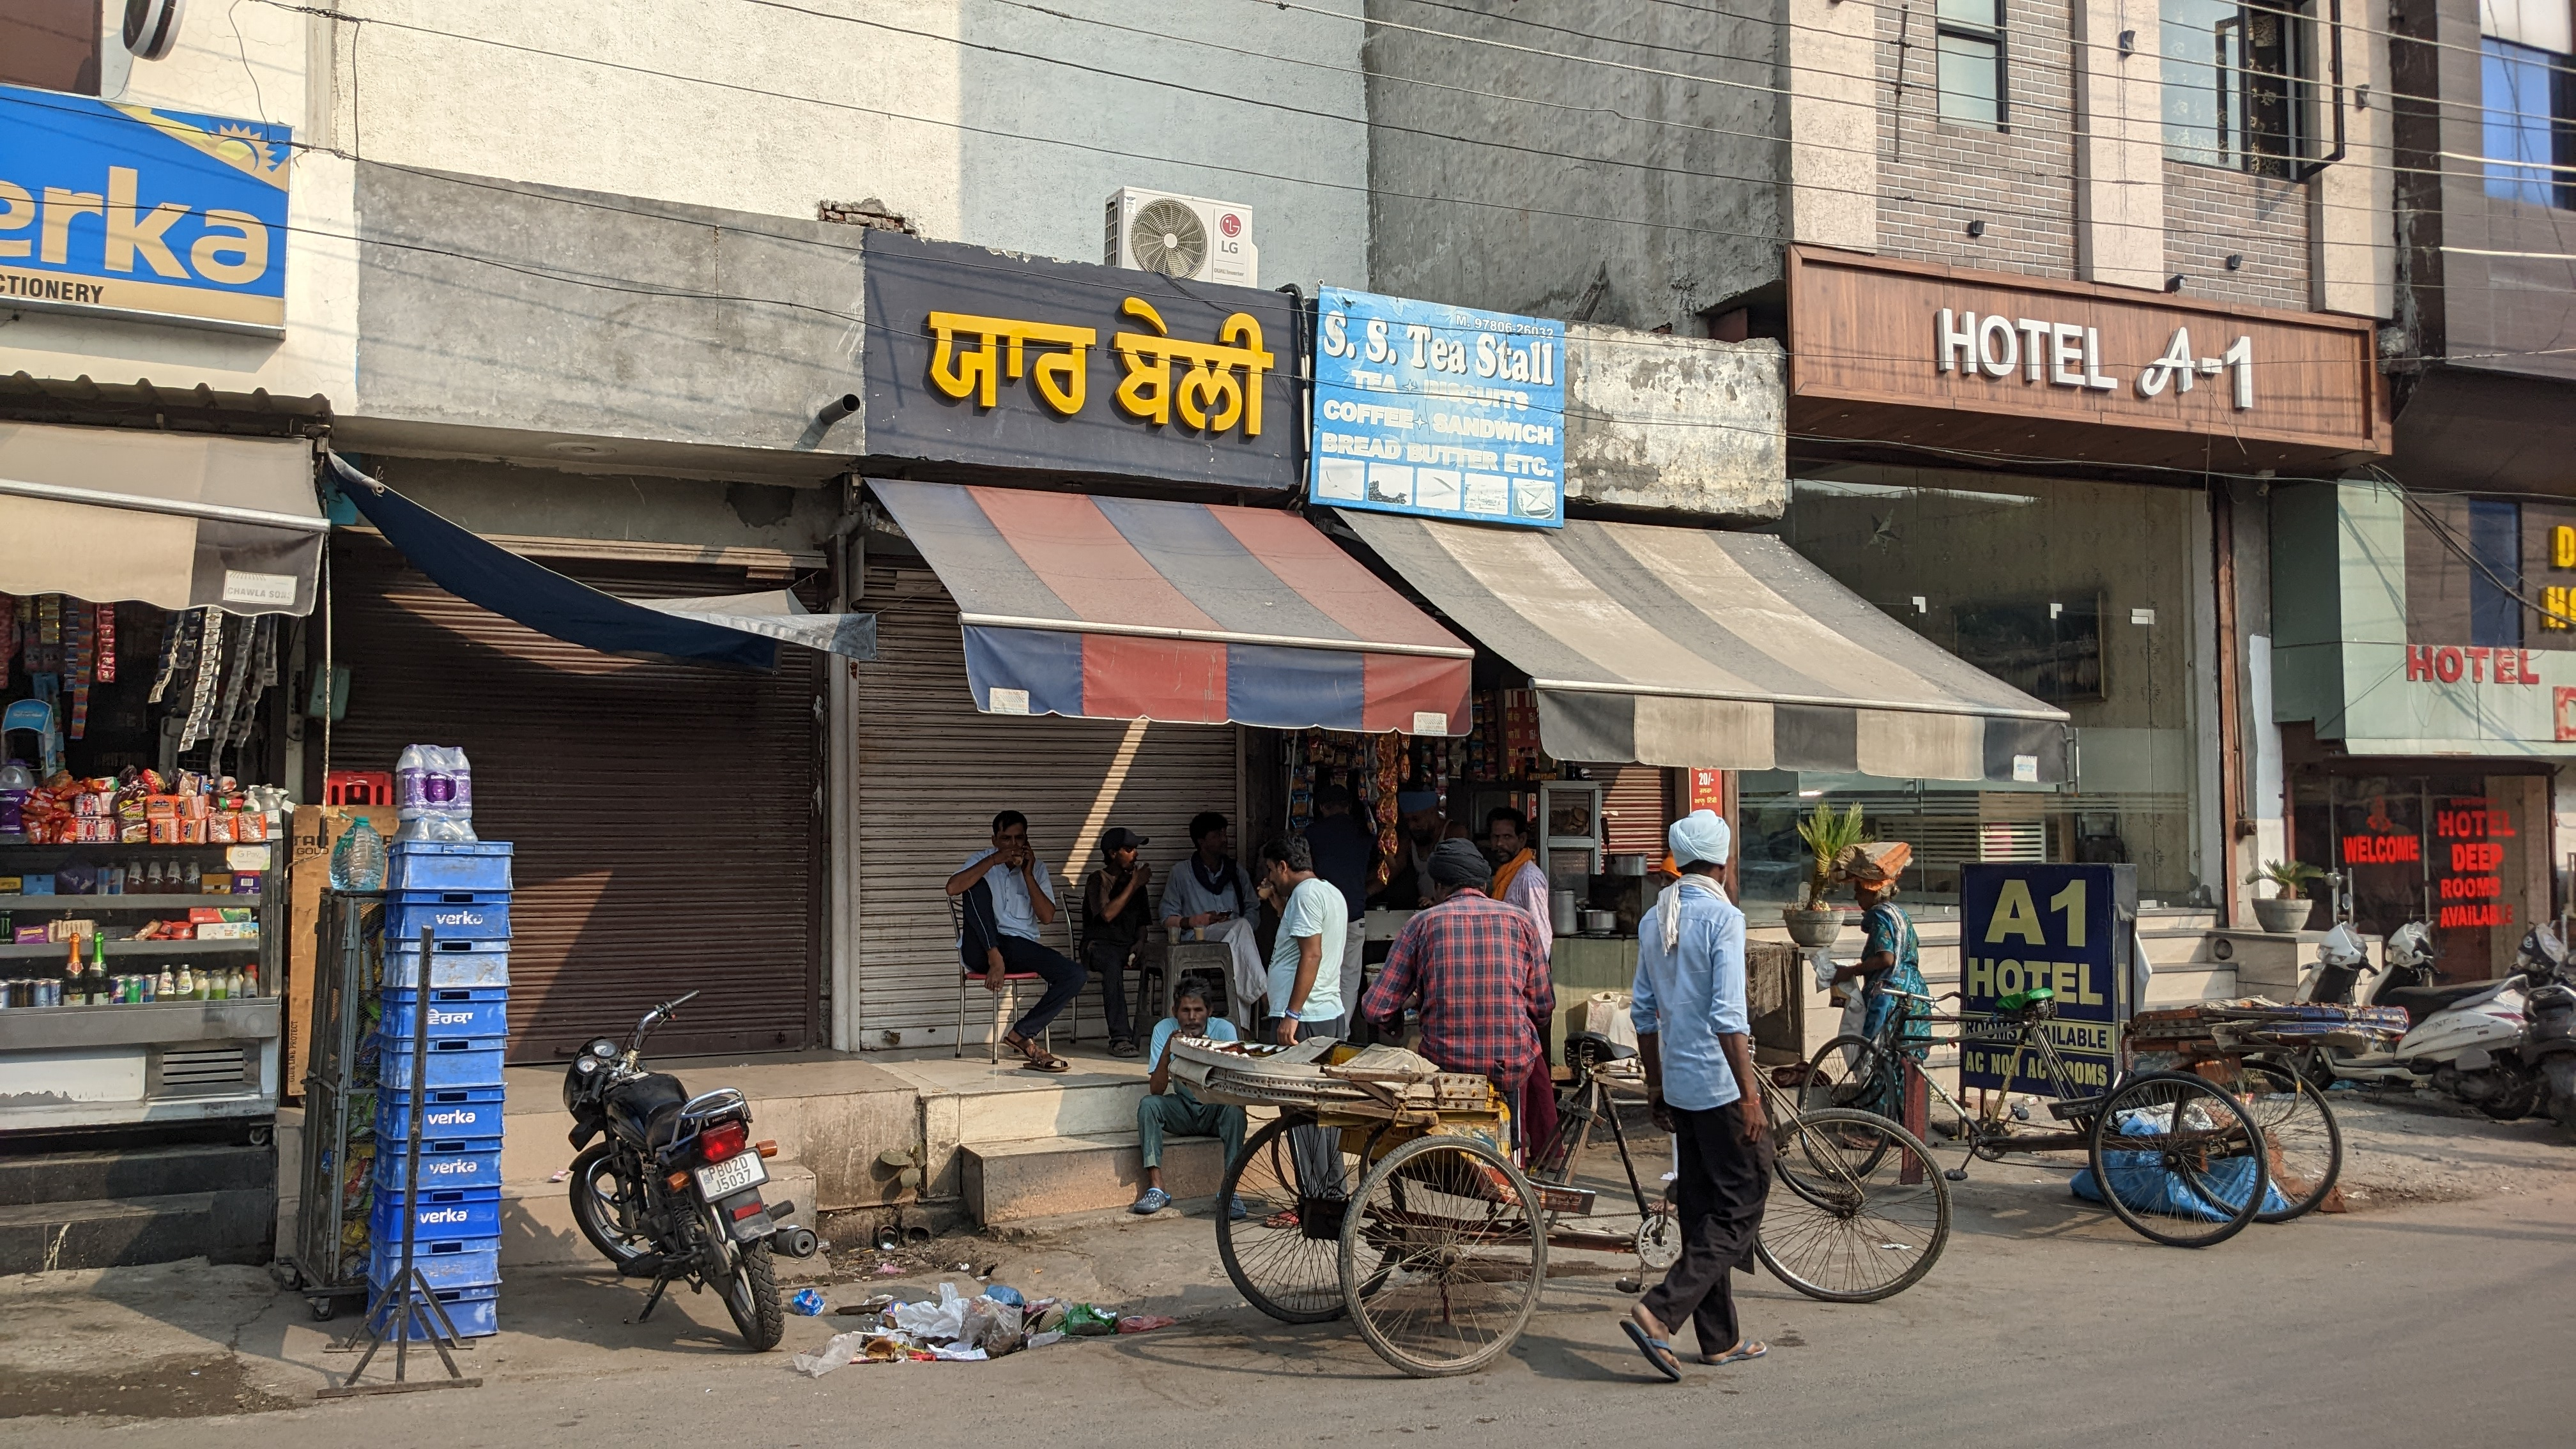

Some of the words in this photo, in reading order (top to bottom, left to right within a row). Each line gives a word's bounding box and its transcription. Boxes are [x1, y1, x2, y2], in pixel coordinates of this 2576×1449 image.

[33, 165, 284, 293] rka
[1218, 238, 1241, 257] LG
[6, 272, 107, 307] TIONERY
[921, 303, 1101, 429] ਯਾਰ
[1105, 294, 1279, 442] ਏਲੀ
[1318, 306, 1402, 371] S.S.
[1342, 367, 1402, 396] TEA
[1400, 320, 1475, 380] Tea
[1453, 310, 1473, 329] M.
[1420, 376, 1534, 413] BISCUITS
[1469, 332, 1557, 392] Stall
[1471, 312, 1559, 342] 97806-26032
[1931, 303, 2125, 395] HOTEL
[2126, 321, 2264, 417] A-1
[1318, 427, 1403, 463] BREAD
[1320, 395, 1416, 433] COFFEE
[1404, 438, 1503, 473] BUTTER
[1430, 408, 1558, 449] SANDWICH
[1502, 448, 1557, 481] ETC.
[2547, 522, 2575, 574] D
[2400, 641, 2548, 689] HOTEL
[1692, 771, 1716, 788] 20/-
[2434, 806, 2520, 842] HOTEL
[2336, 830, 2425, 866] WELCOME
[2444, 839, 2506, 875] DEEP
[2436, 875, 2508, 903] ROOMS
[433, 908, 488, 931] verko
[1969, 866, 2099, 957] A1
[2435, 899, 2518, 933] AVAILABLE
[1966, 954, 2115, 1010] HOTEL
[427, 1004, 477, 1027] ਵੇਰਕਾ
[2055, 1022, 2110, 1049] LABLE
[1963, 1048, 1987, 1075] AC
[2073, 1057, 2109, 1089] OMS
[425, 1107, 478, 1127] verka
[422, 1156, 482, 1179] verka
[703, 1152, 752, 1181] PB02D
[710, 1166, 757, 1195] J5037
[417, 1206, 475, 1227] verka